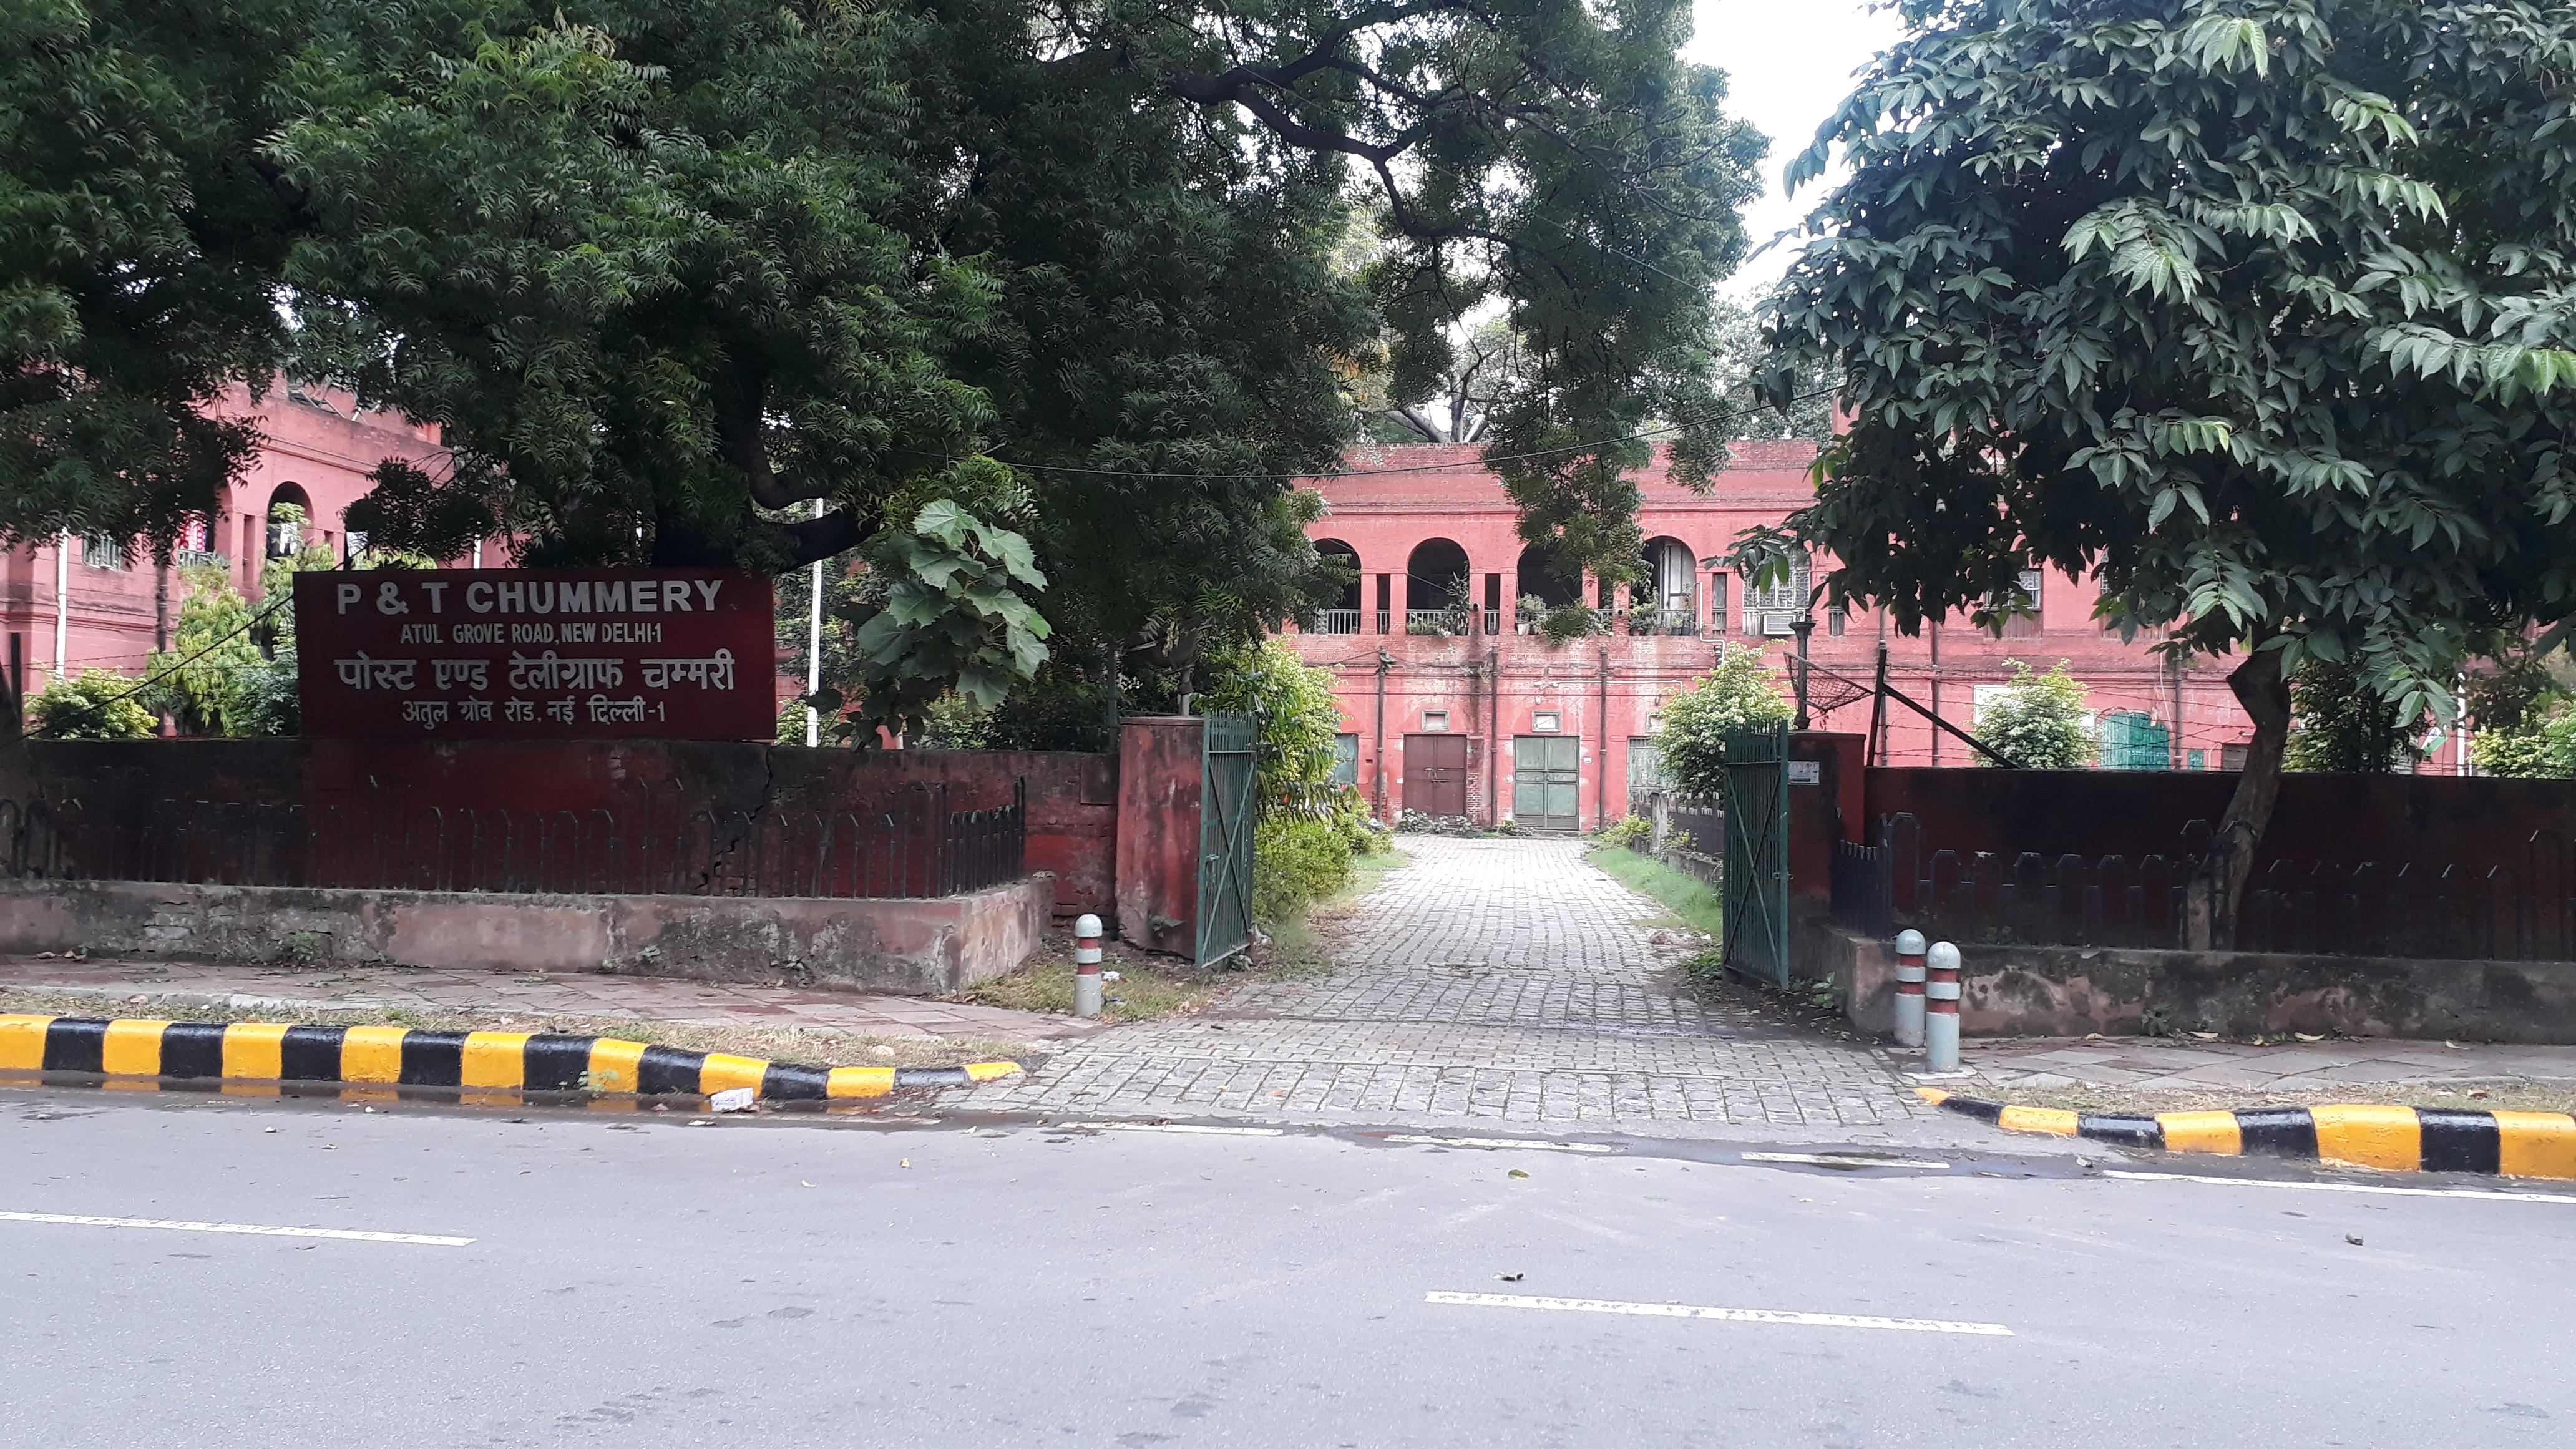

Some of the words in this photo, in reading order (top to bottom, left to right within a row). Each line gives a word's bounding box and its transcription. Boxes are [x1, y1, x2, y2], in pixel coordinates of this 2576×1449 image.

[335, 581, 364, 616] P
[373, 580, 412, 618] &
[418, 579, 451, 617] T
[461, 579, 726, 617] CHUMMERY
[398, 621, 446, 648] ATUL
[449, 620, 507, 647] GROVE
[510, 619, 557, 647] ROAD
[558, 621, 600, 646] NEW
[598, 619, 666, 647] DELHI-1
[331, 646, 419, 695] पोस्ट
[431, 655, 492, 697] एण्ड
[507, 648, 626, 692] टेलीग्राफ
[637, 643, 738, 695] चम्मरी
[396, 696, 452, 736] अतुल
[456, 693, 496, 725] ग्रोव
[499, 692, 537, 727] रोड
[543, 690, 582, 730] नई
[583, 690, 669, 729] दिल्ली-1